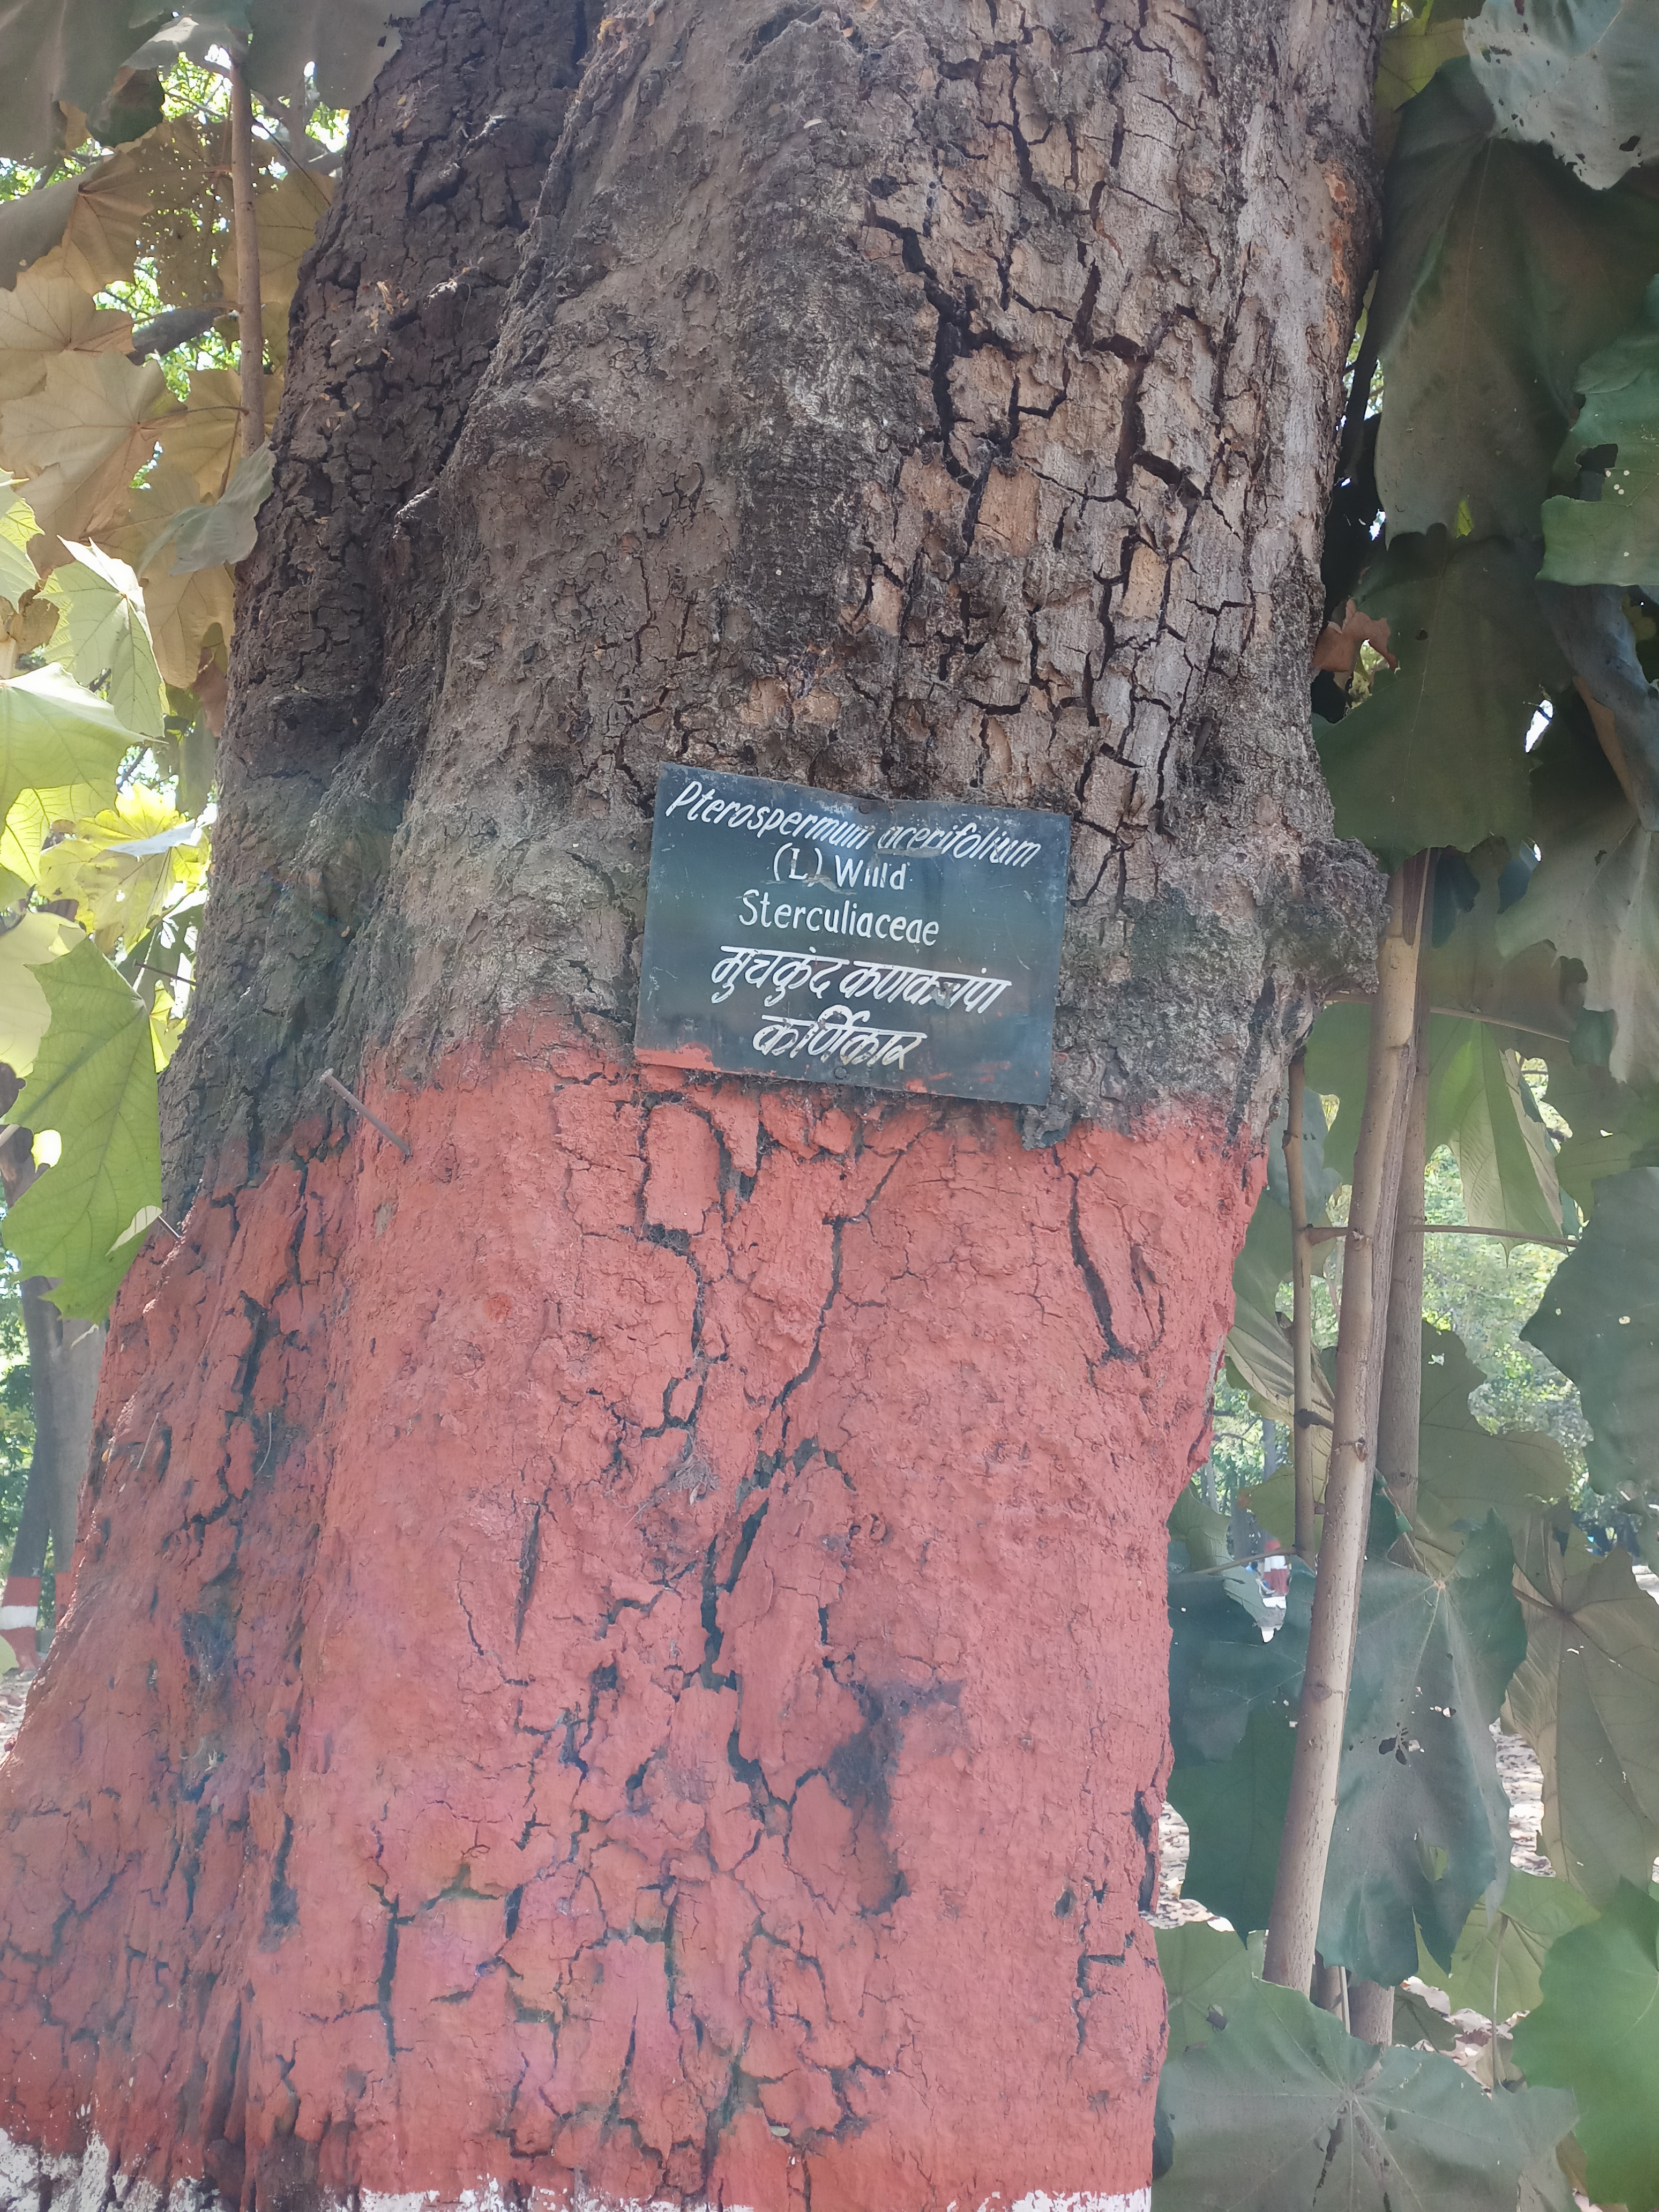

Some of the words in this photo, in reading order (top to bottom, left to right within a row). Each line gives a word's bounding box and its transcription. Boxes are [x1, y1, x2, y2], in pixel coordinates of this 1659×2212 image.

[659, 774, 880, 854] Pterospermum
[768, 839, 831, 892] (L)
[829, 851, 915, 895] Willd
[875, 816, 1049, 873] acerifolium
[728, 883, 948, 951] Sterculiaceae
[694, 938, 852, 1011] मुचकुंद
[834, 954, 1021, 1022] कणकचंपा
[742, 999, 936, 1075] कर्णिकार